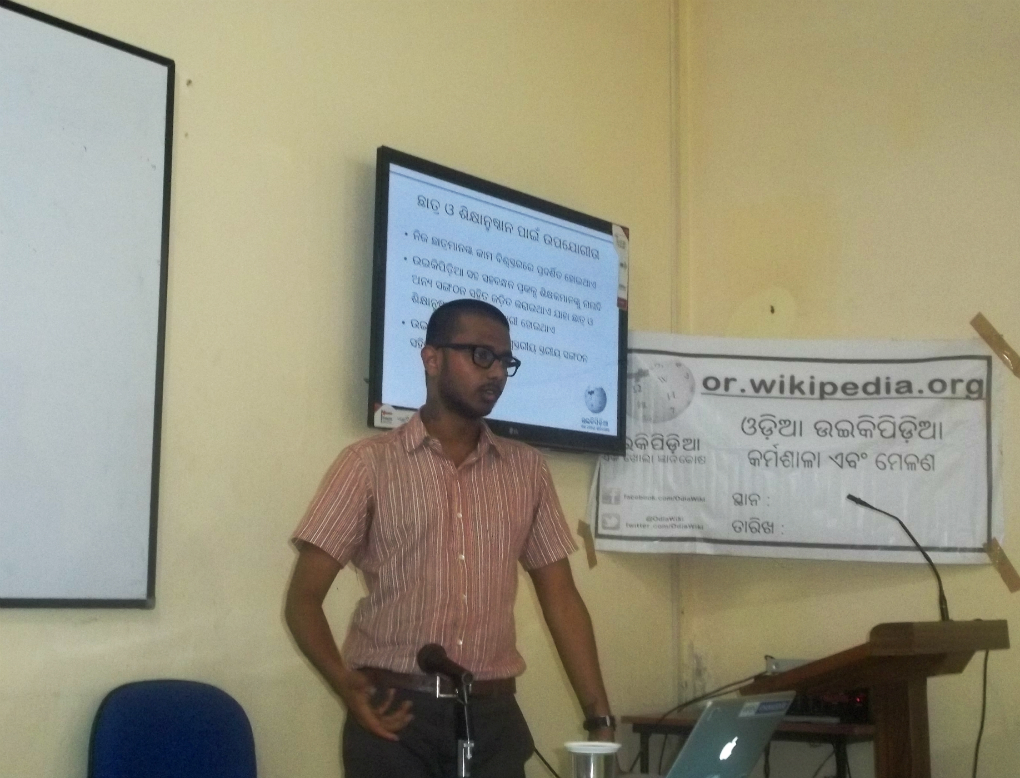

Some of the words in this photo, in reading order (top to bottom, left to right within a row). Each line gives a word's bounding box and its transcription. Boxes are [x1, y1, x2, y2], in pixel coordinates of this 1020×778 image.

[412, 189, 447, 217] ଛାତ୍ର
[409, 250, 468, 280] ଉଇକିପିଡ଼ିଆ
[439, 197, 461, 219] ଓ
[430, 274, 471, 300] ସଙ୍ଗଠନ
[470, 245, 499, 265] କାମ
[454, 199, 520, 242] ଶିକ୍ଷାନୁଷ୍ଠାନ
[485, 288, 517, 311] ଜଡ଼ିତ
[512, 278, 541, 303] ପ୍ରକଳ୍ପ
[515, 221, 544, 244] ପାଇଁ
[511, 294, 557, 321] ଇୟାଇଥାଏ
[529, 261, 569, 285] ପ୍ରଦର୍ଶିତ
[541, 225, 605, 263] ଉପ‌ଯୋଗୀର
[695, 370, 991, 403] or.wikipedia.org
[735, 409, 805, 445] ଓଡ଼ିଆ
[813, 413, 946, 443] ଉଇକିପିଡ଼ିଆ
[619, 428, 703, 458] ଇକିପିଡ଼ିଆ
[746, 445, 822, 474] କର୍ମଶାଳା
[825, 447, 870, 477] ଏବଂ
[869, 444, 941, 473] ମେଳଣ
[731, 488, 763, 508] ସ୍ଥାନ
[729, 514, 776, 535] ତାରିଖ